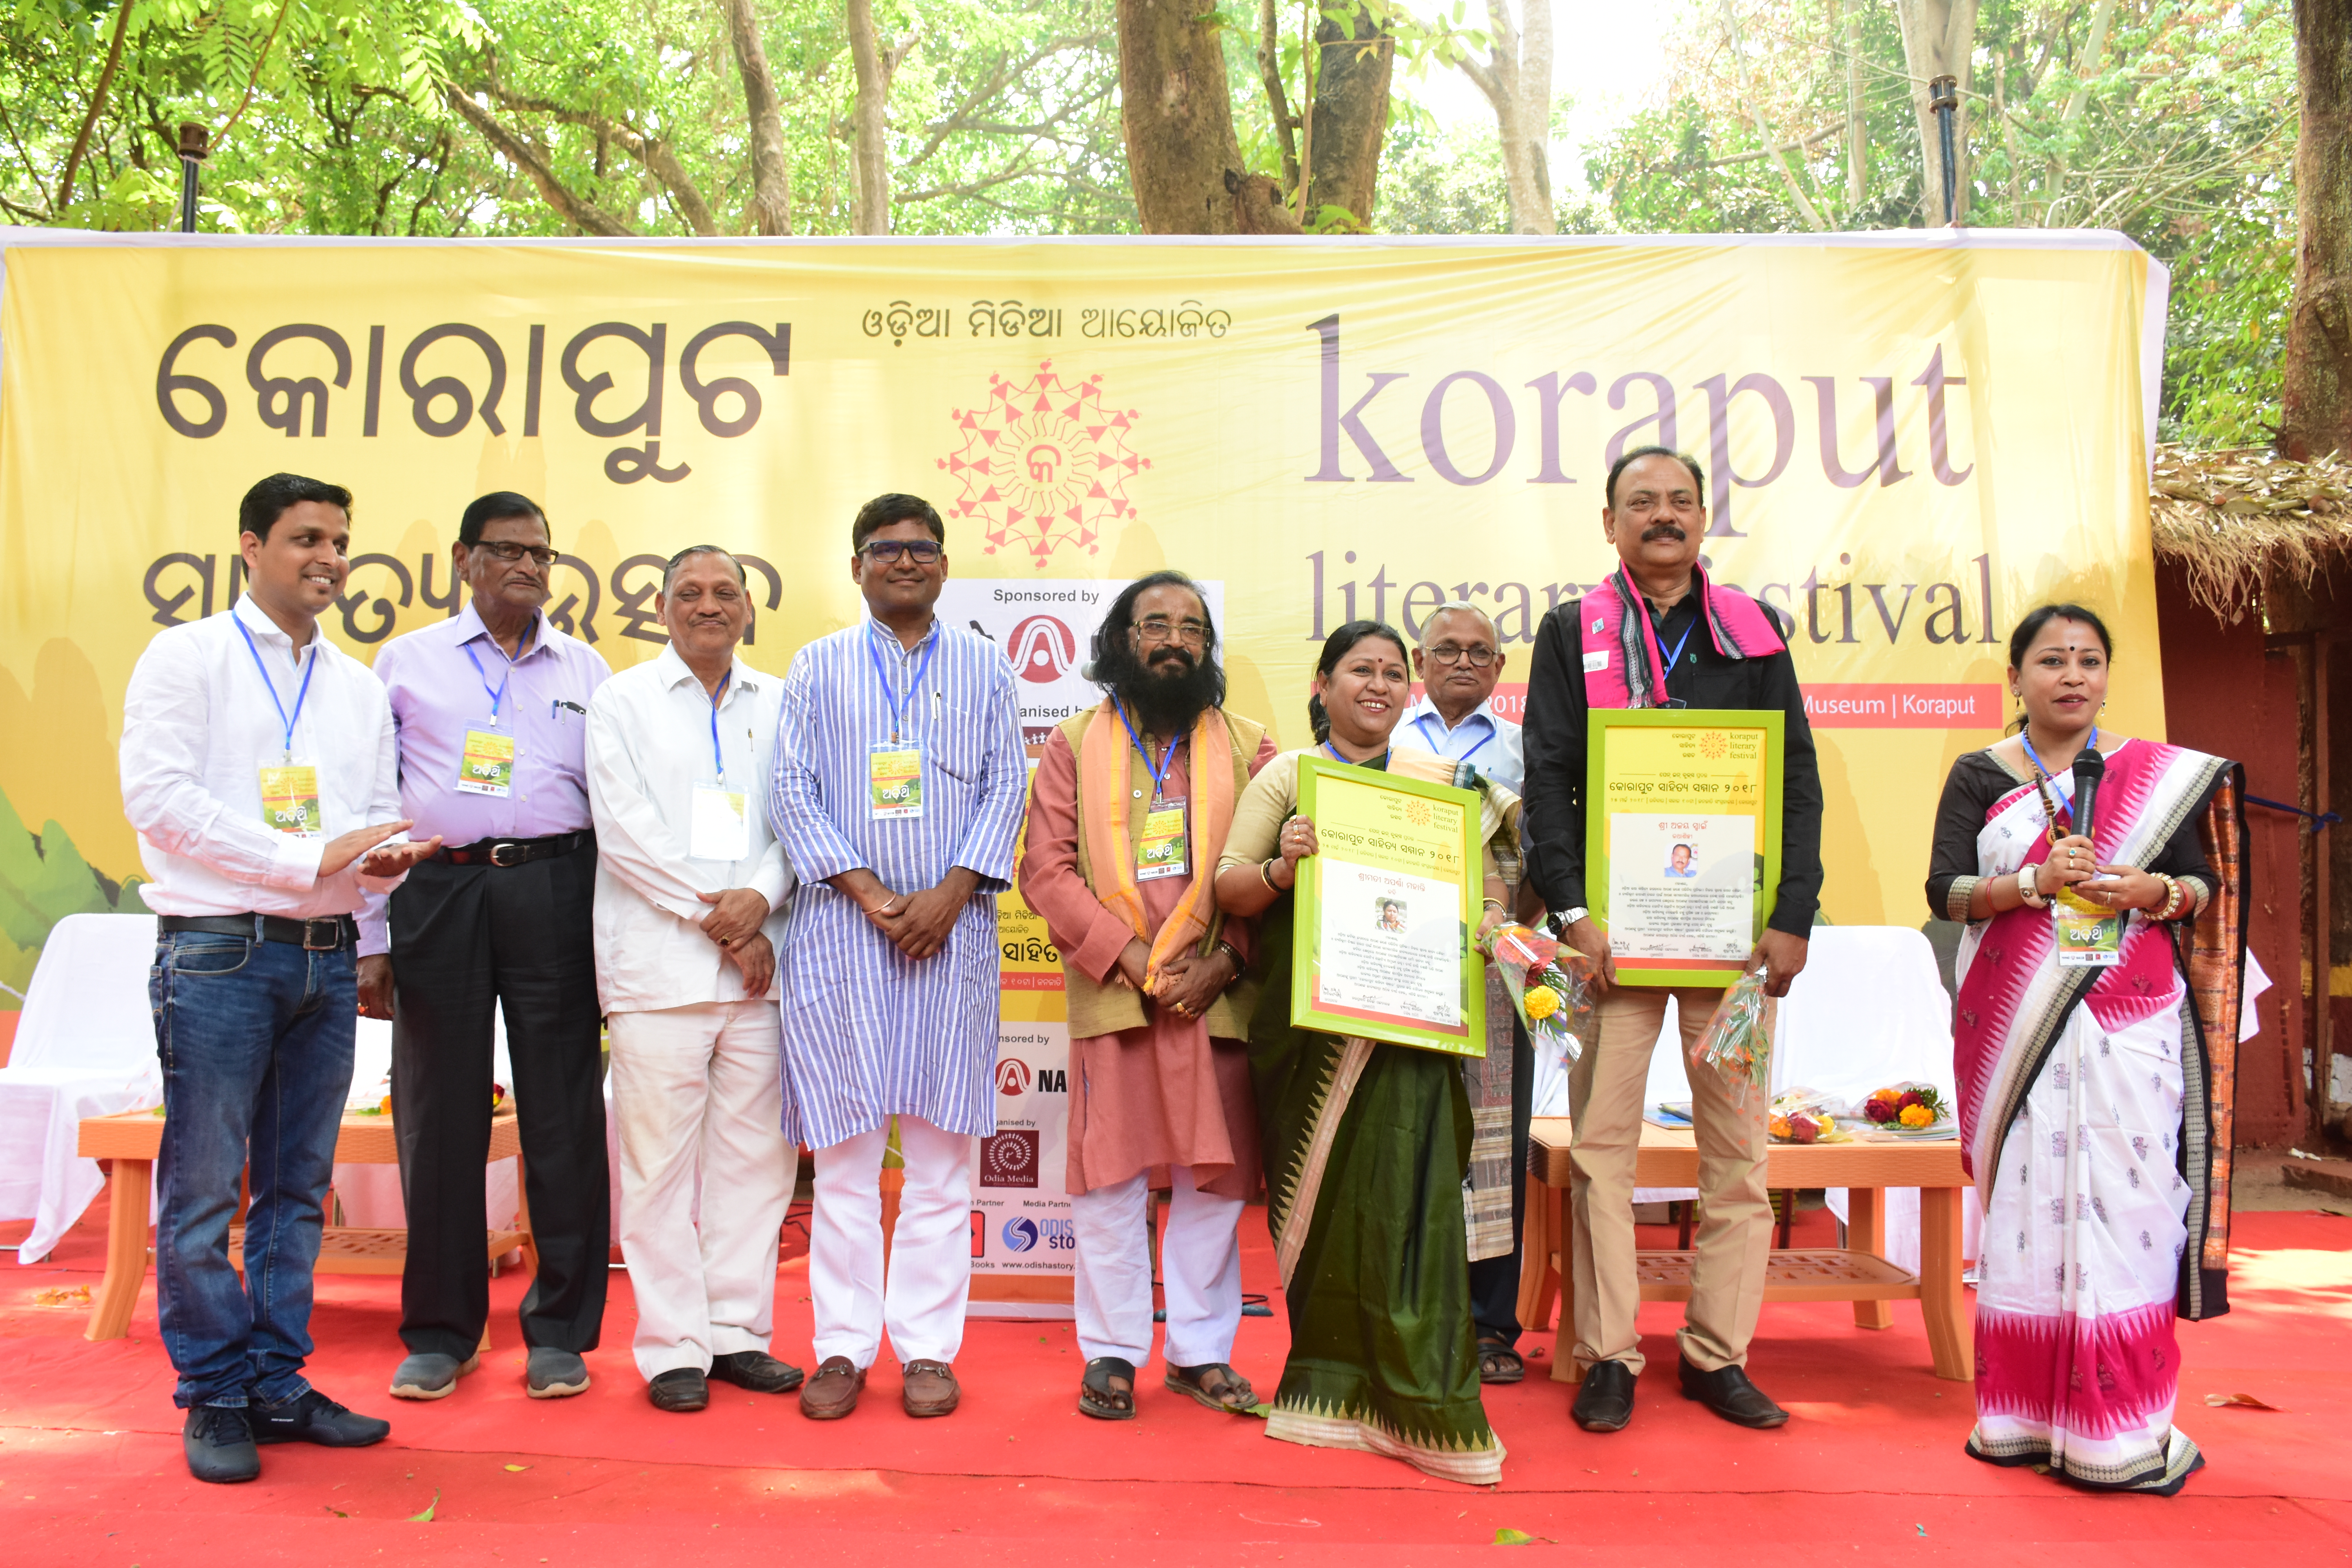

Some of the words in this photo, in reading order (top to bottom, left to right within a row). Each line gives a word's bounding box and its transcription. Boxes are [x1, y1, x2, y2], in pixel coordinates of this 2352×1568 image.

[859, 293, 955, 351] ଓଡ଼ିଆ
[962, 290, 1065, 347] ମିଡିଆ
[1072, 295, 1238, 341] ଆୟୋଜିତ
[149, 314, 797, 488] କୋରାପୁଟ
[1297, 308, 1977, 540] koraput
[986, 585, 1080, 604] Sponsored
[1080, 586, 1102, 608] by
[1796, 694, 1888, 716] Museum
[1899, 689, 1976, 722] Koraput
[1729, 731, 1759, 742] koraput
[1729, 740, 1758, 751] literary
[1728, 750, 1758, 759] festival
[470, 762, 503, 780] ଅତିଥି
[878, 780, 914, 804] ଅତିଥି
[1608, 780, 1655, 797] କୋରାପୁଟ
[1656, 778, 1691, 794] ସାହିତ୍ୟ
[1693, 781, 1720, 794] ସମ୍ମାନ
[1723, 784, 1757, 795] ୨୦୧୮
[271, 802, 311, 827] ଅତିଥି
[1433, 811, 1459, 825] literary
[1432, 820, 1460, 834] festival
[1433, 803, 1460, 817] koraput.
[1656, 820, 1671, 832] ଶ୍ରୀ
[1670, 821, 1690, 831] ଅଳଯ
[1142, 840, 1174, 862] ଅତିଥି
[1320, 826, 1367, 847] କୋରାପୁଟ
[1365, 835, 1399, 852] ସାହିତ୍ୟ
[1401, 843, 1427, 858] ସମ୍ମାନ
[1430, 847, 1462, 866] ୨୦୧୮
[1357, 871, 1383, 885] ଶ୍ରୀମତୀ
[1383, 877, 1406, 889] ଅପର୍ଣ୍ଣା
[1406, 880, 1428, 893] ମହାନ୍ତି
[1009, 906, 1040, 924] ମିଡିଆ
[1000, 935, 1061, 965] ସାହିତ
[982, 1170, 1005, 1183] Odia
[1005, 1173, 1035, 1186] Media
[974, 1198, 1006, 1207] Partner
[1022, 1198, 1048, 1207] Media
[1036, 1215, 1075, 1240] ODIS
[1047, 1234, 1077, 1252] sto
[968, 1259, 998, 1269] Books
[999, 1259, 1076, 1271] www.odishastory